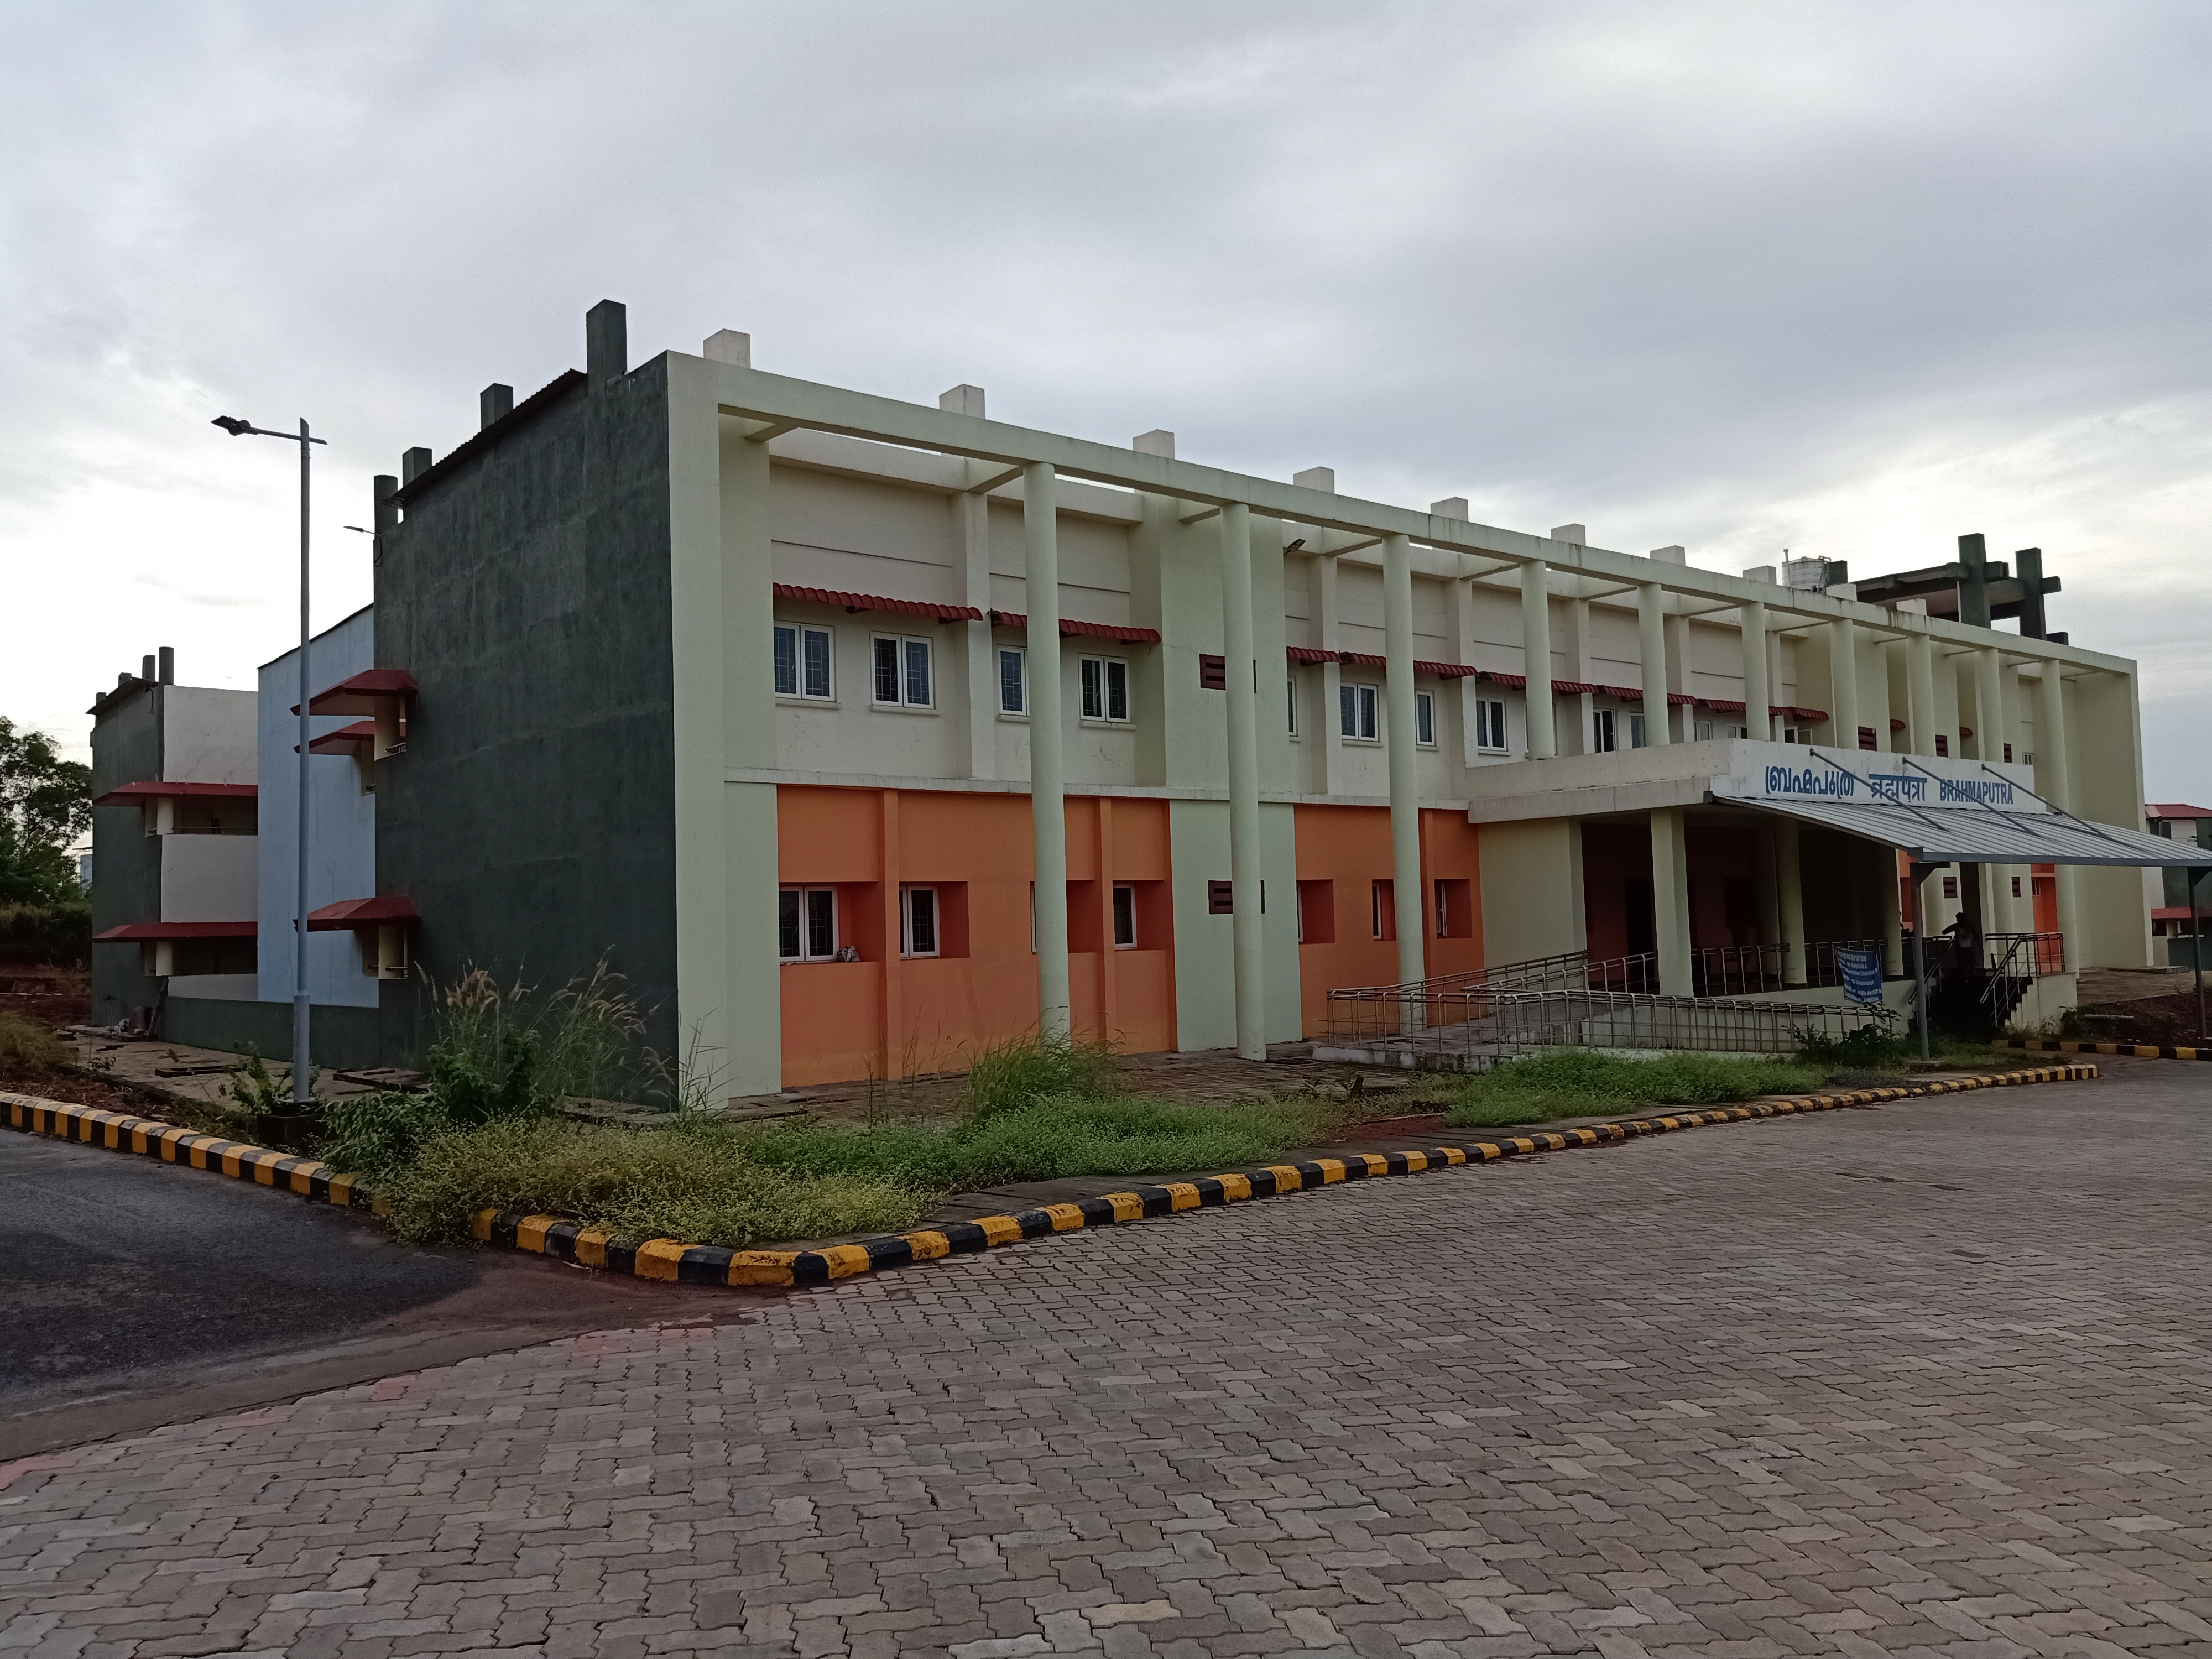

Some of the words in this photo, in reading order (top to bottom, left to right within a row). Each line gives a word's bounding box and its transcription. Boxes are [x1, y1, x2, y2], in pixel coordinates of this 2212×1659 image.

[1764, 762, 1858, 802] ബ്രഹ്മപുത്ര
[1867, 772, 1930, 802] ടംധി
[1937, 778, 2016, 805] BRAHMAPUTRA